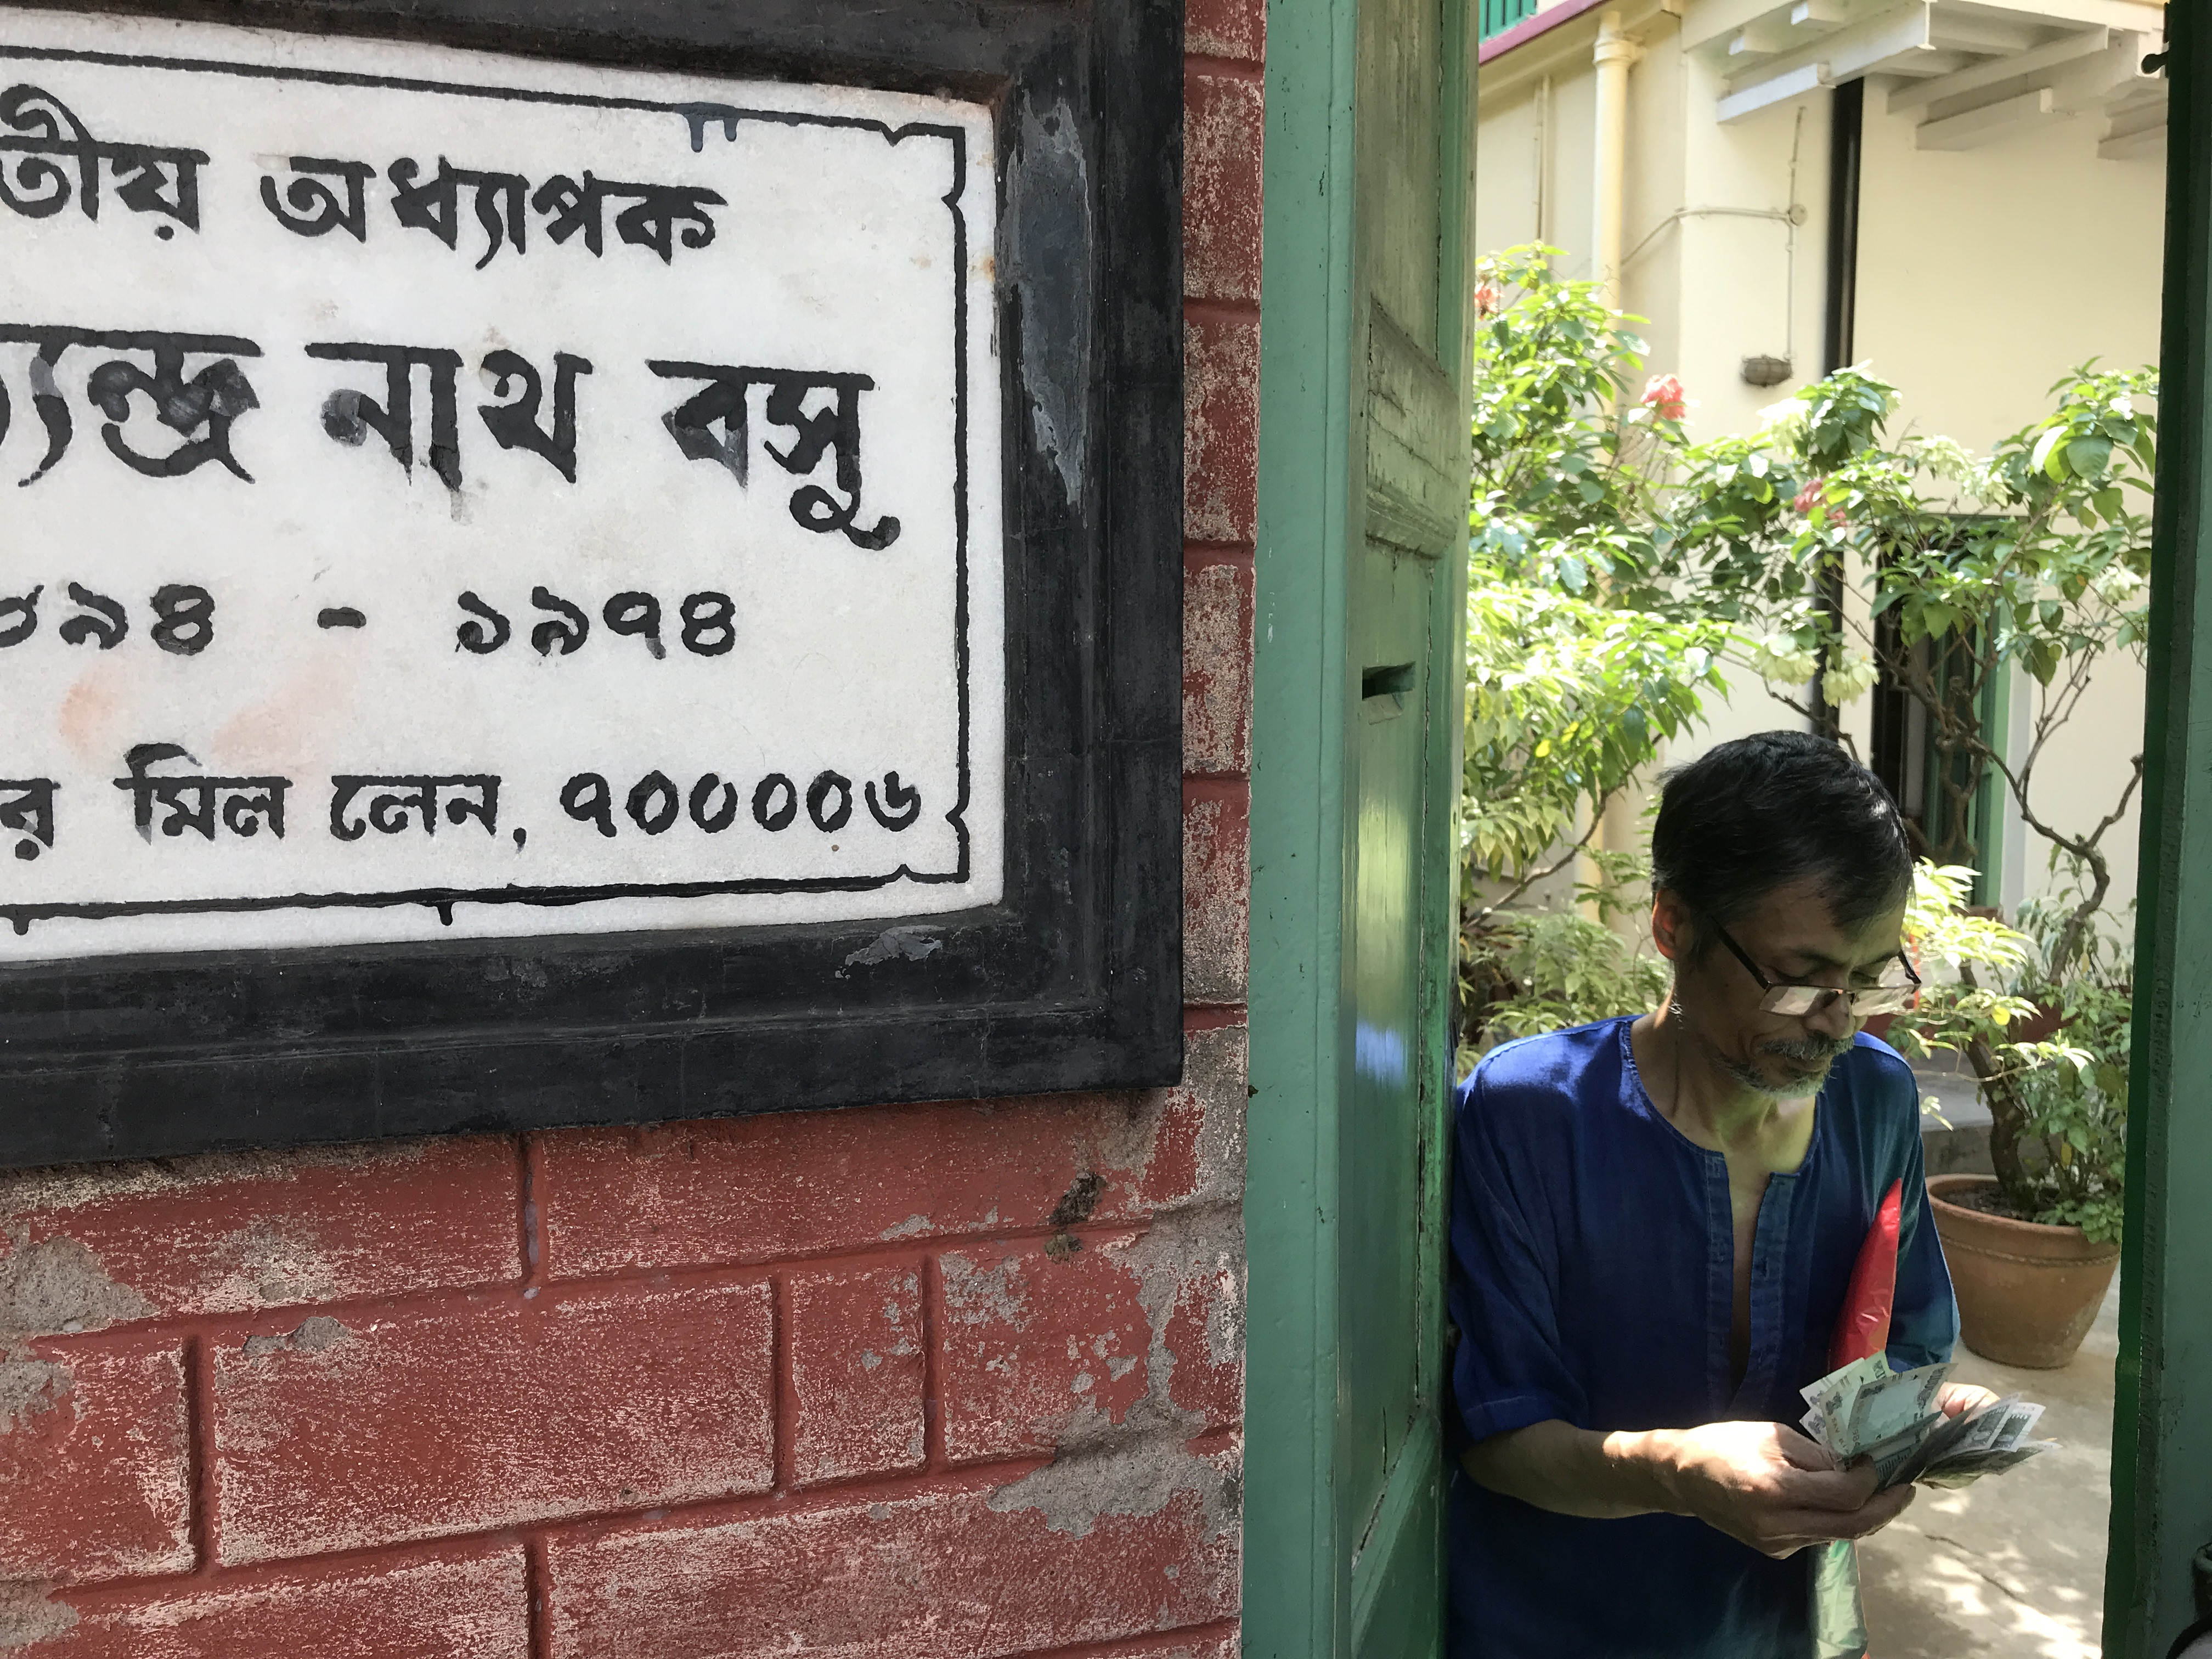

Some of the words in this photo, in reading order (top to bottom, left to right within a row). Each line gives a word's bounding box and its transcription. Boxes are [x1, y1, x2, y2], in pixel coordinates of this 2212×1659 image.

[1, 76, 219, 248] তীয়
[251, 143, 731, 283] অধ্যাপক
[11, 313, 268, 499] ন্দ্র
[299, 323, 613, 516] নাথ
[646, 353, 914, 560] বসু
[444, 575, 740, 665] ১ঌ৭৪
[118, 742, 295, 852] মিল
[320, 765, 513, 851] লেন
[551, 757, 930, 845] ৭০০০০৬